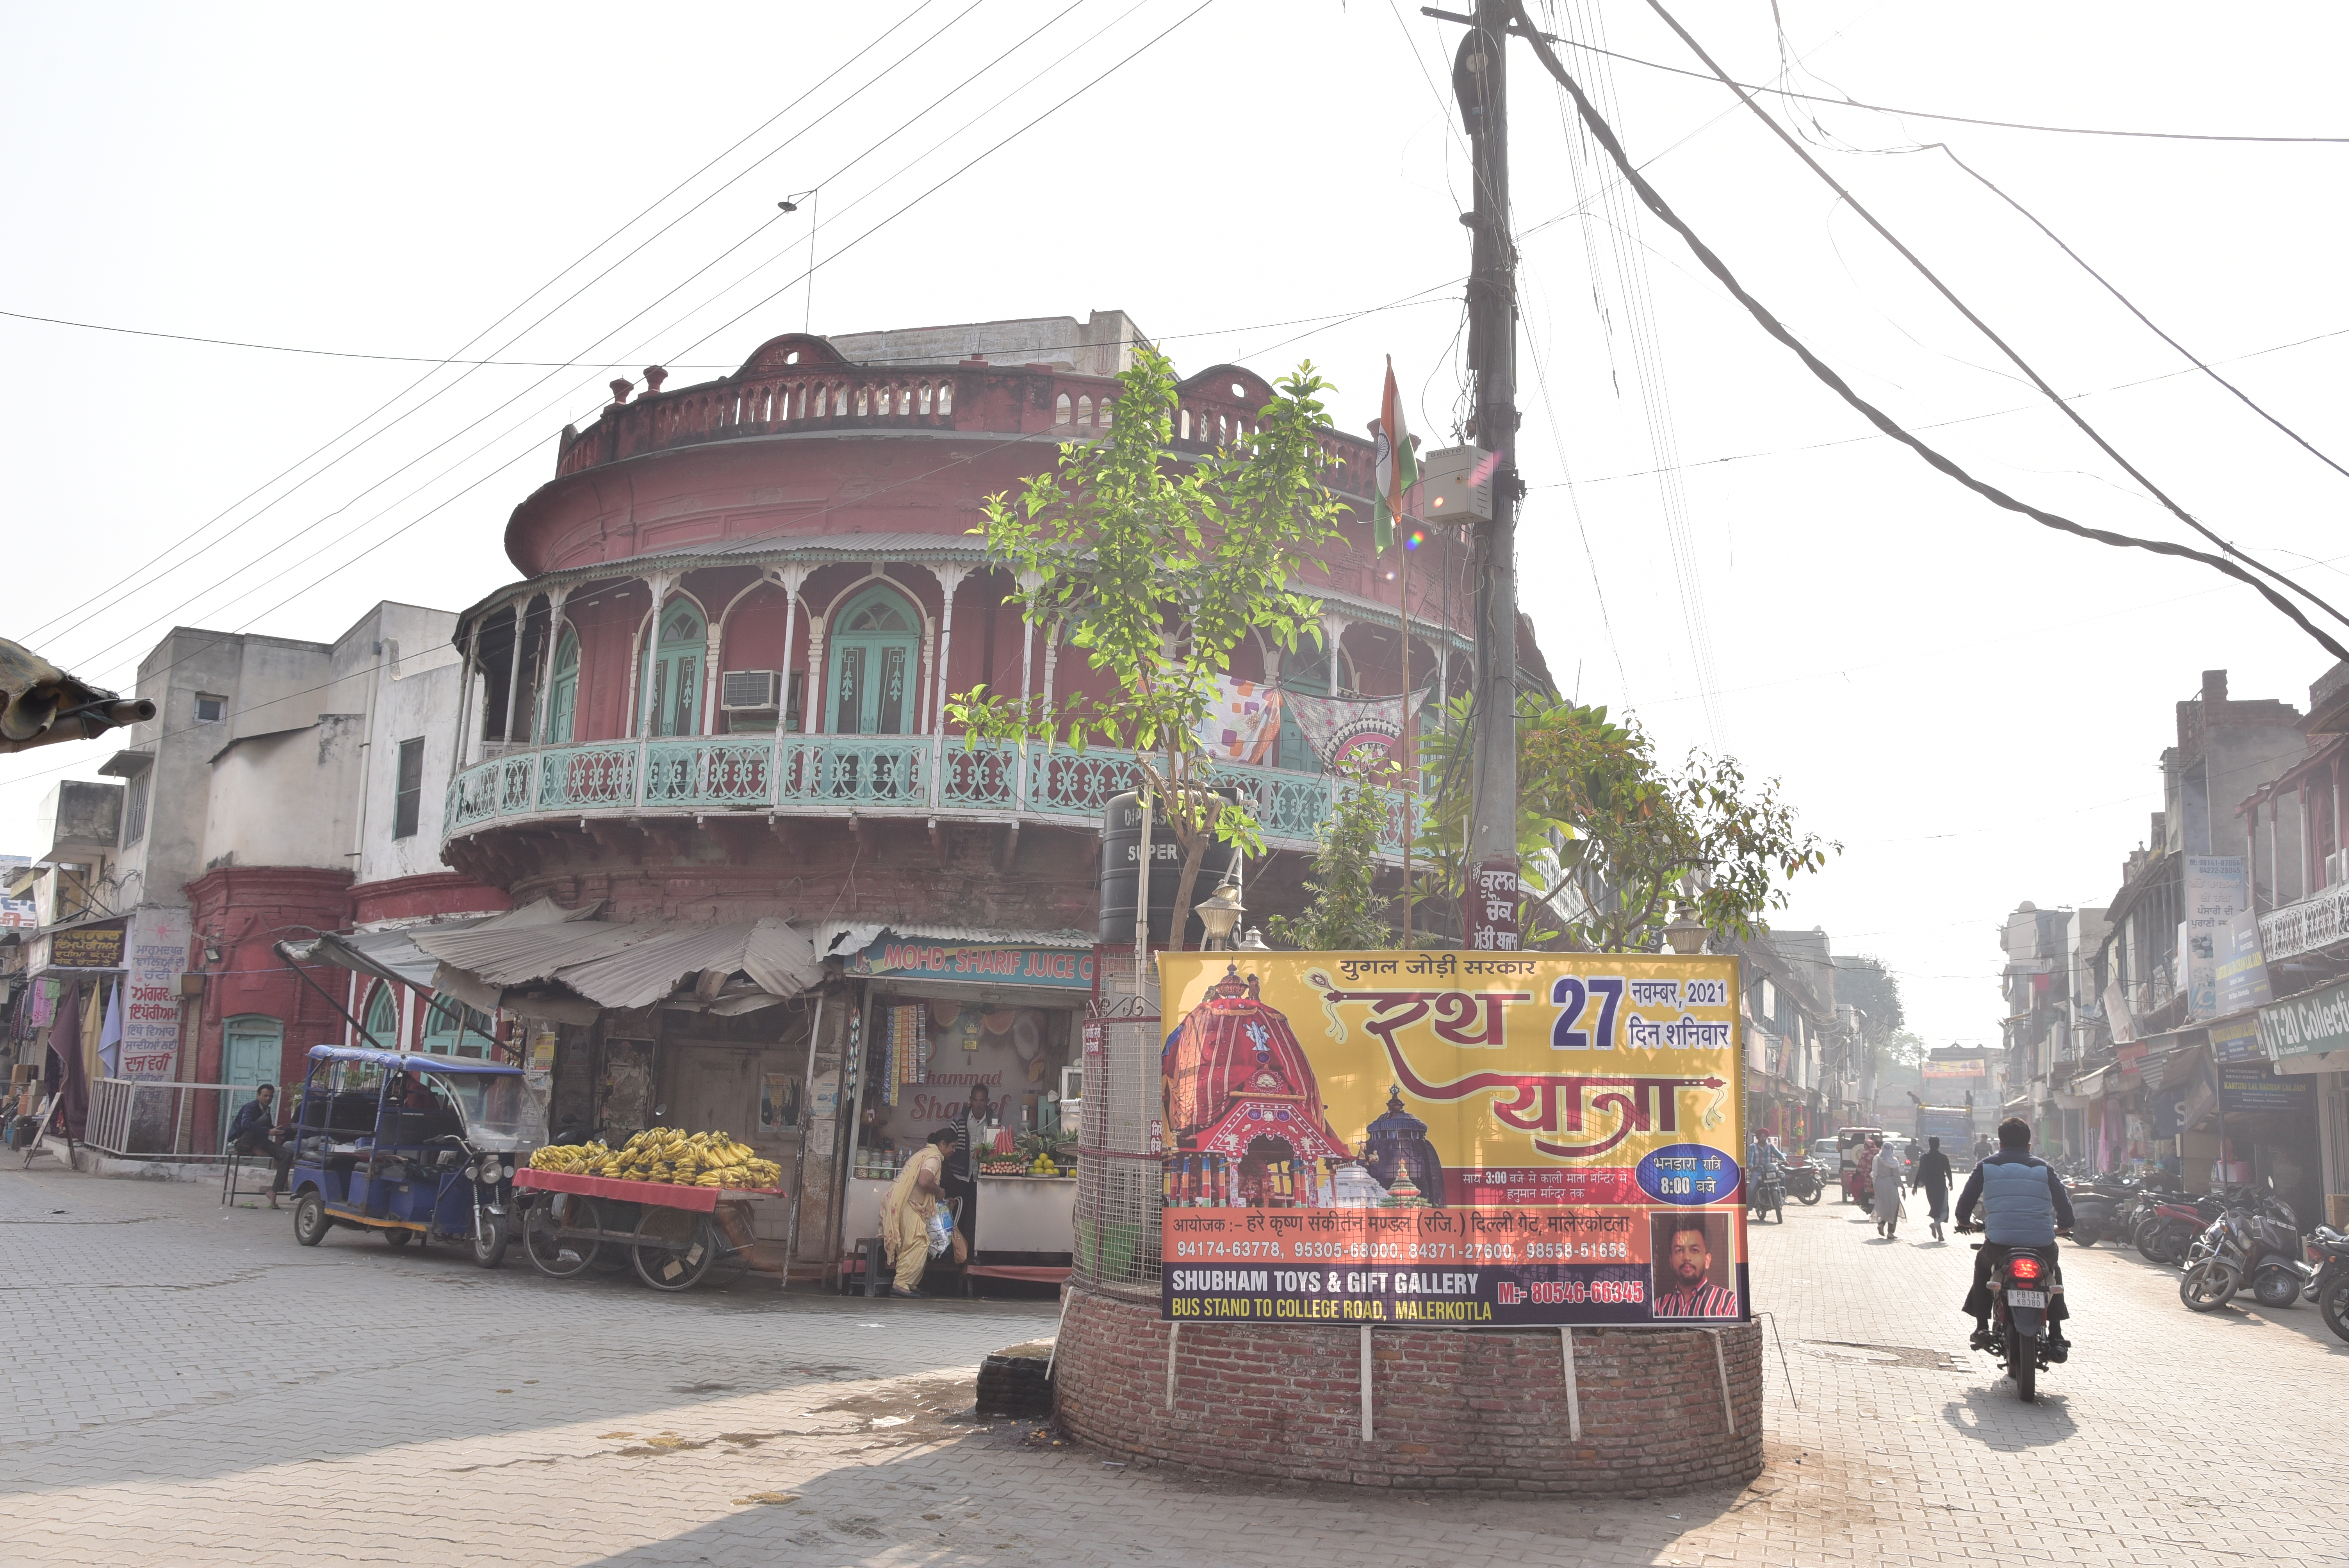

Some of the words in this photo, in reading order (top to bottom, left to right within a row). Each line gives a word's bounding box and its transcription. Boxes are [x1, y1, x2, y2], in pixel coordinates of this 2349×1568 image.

[1121, 804, 1142, 829] DIP
[1125, 840, 1136, 865] S
[1156, 841, 1180, 863] ER
[2189, 858, 2197, 866] M:
[2198, 859, 2243, 867] 99141-870661
[2198, 866, 2243, 874] 84272-28045
[1476, 866, 1518, 901] ਕੂਲਰ
[2187, 875, 2208, 889] ਲਡੇ
[2206, 876, 2242, 890] ਕਾਲਿਆਂ
[2193, 889, 2213, 903] ਦੀ
[2212, 889, 2235, 904] ਹਂਟੀ
[1481, 891, 1516, 925] ਚੌਂਕ,
[2194, 903, 2222, 916] ਪੰਸਾਰੀ
[2223, 903, 2235, 917] ਦੀ
[2189, 916, 2216, 930] ਪੁਰਾਣੀ
[53, 956, 75, 965] ਥੱਕ
[53, 950, 88, 958] ਵਧੀਆ
[52, 937, 121, 951] ਇੰਮਪੈਰੀਅਮ
[75, 957, 101, 967] ਰੇਟਾਂ
[52, 928, 125, 942] ਅਗਰਵਾਲ
[88, 950, 121, 960] ਕੱਪੜੇ
[99, 958, 114, 968] ਤੇ
[133, 954, 176, 969] ਵਾਲਿਆਂ
[143, 967, 175, 982] ਹਟੀ
[134, 941, 187, 957] ਮਾਹਮਦਪੁਰ
[175, 955, 187, 969] ਦੀ
[879, 937, 955, 975] MOHD.
[954, 945, 1025, 977] SHARIF
[1021, 950, 1080, 983] JUICE
[1075, 953, 1096, 982] C
[1337, 955, 1403, 982] युगल
[1402, 950, 1461, 981] जोड़ी
[1469, 918, 1496, 952] ਮੋਤੀ
[1462, 957, 1542, 978] सरकार
[1494, 928, 1519, 952] ਬਜਾਰ
[128, 984, 171, 1002] ਅੱਗਹਵ
[1627, 976, 1687, 1014] नवम्बर,
[1684, 971, 1731, 1008] 2021
[125, 1023, 145, 1038] ਇੱਥੇ
[127, 1001, 181, 1022] ਇੰਪੋਰੀਅਮ
[144, 1023, 177, 1038] ਵਿਆਹ
[1544, 972, 1627, 1060] 27
[1621, 1010, 1664, 1053] दिन
[1662, 1010, 1733, 1053] शनिवार
[2265, 1001, 2303, 1048] T-20
[2294, 987, 2349, 1044] Collecti
[124, 1037, 161, 1052] ਸਾਦੀਆਂ
[159, 1038, 180, 1053] ਲਈ
[121, 1053, 148, 1074] ਦਾਜ
[145, 1052, 174, 1073] ਵਰੀ
[1295, 961, 1736, 1165] रथयात्रा
[922, 1068, 1007, 1088] hammad
[2222, 1081, 2248, 1090] KASTURI
[2247, 1081, 2258, 1091] LAL
[906, 1090, 961, 1125] Sha
[1651, 1154, 1700, 1174] भनडारा
[1698, 1153, 1725, 1174] रात्रि
[1460, 1171, 1483, 1186] साय
[1483, 1169, 1509, 1185] 3:00
[1508, 1167, 1526, 1185] बजे
[1504, 1184, 1539, 1204] हनुमान
[1525, 1168, 1538, 1185] से
[1538, 1169, 1564, 1185] काली
[1538, 1183, 1567, 1203] मन्दिर
[1565, 1171, 1588, 1185] माता
[1567, 1187, 1586, 1199] तक
[1587, 1169, 1618, 1187] मन्दिर
[1616, 1169, 1633, 1186] से
[1656, 1174, 1693, 1196] 8:00
[1691, 1173, 1718, 1197] बजे
[1167, 1212, 1228, 1235] आयोजक
[1244, 1208, 1267, 1235] हरे
[1267, 1212, 1305, 1239] कृष्ण
[1305, 1208, 1365, 1234] संकीर्तन
[1366, 1214, 1414, 1235] मण्डल
[1422, 1207, 1460, 1236] रजि.
[1469, 1209, 1518, 1235] दिल्ली
[1514, 1208, 1543, 1234] गेट
[1546, 1209, 1633, 1234] मालेरकोटला
[1172, 1239, 1283, 1258] 94174-63778
[1292, 1240, 1401, 1261] 95305-68000,
[1406, 1240, 1515, 1262] 84371-27600
[1523, 1240, 1629, 1261] 98558-51658
[1169, 1296, 1202, 1319] BUS
[1168, 1268, 1270, 1293] SHUBHAM
[1201, 1297, 1251, 1320] STAND
[1252, 1295, 1276, 1319] TO
[1271, 1269, 1322, 1294] TOYS
[1274, 1297, 1341, 1321] COLLEGE
[1322, 1268, 1346, 1295] &
[1341, 1297, 1384, 1320] ROAD
[1345, 1270, 1391, 1295] GIFT
[1392, 1270, 1480, 1296] GALLERY
[1392, 1299, 1493, 1322] MALERKOTLA
[1495, 1279, 1516, 1306] M
[1529, 1276, 1646, 1308] 80546-66345
[2015, 1290, 2042, 1300] PB13A
[2014, 1297, 2043, 1307] K8380